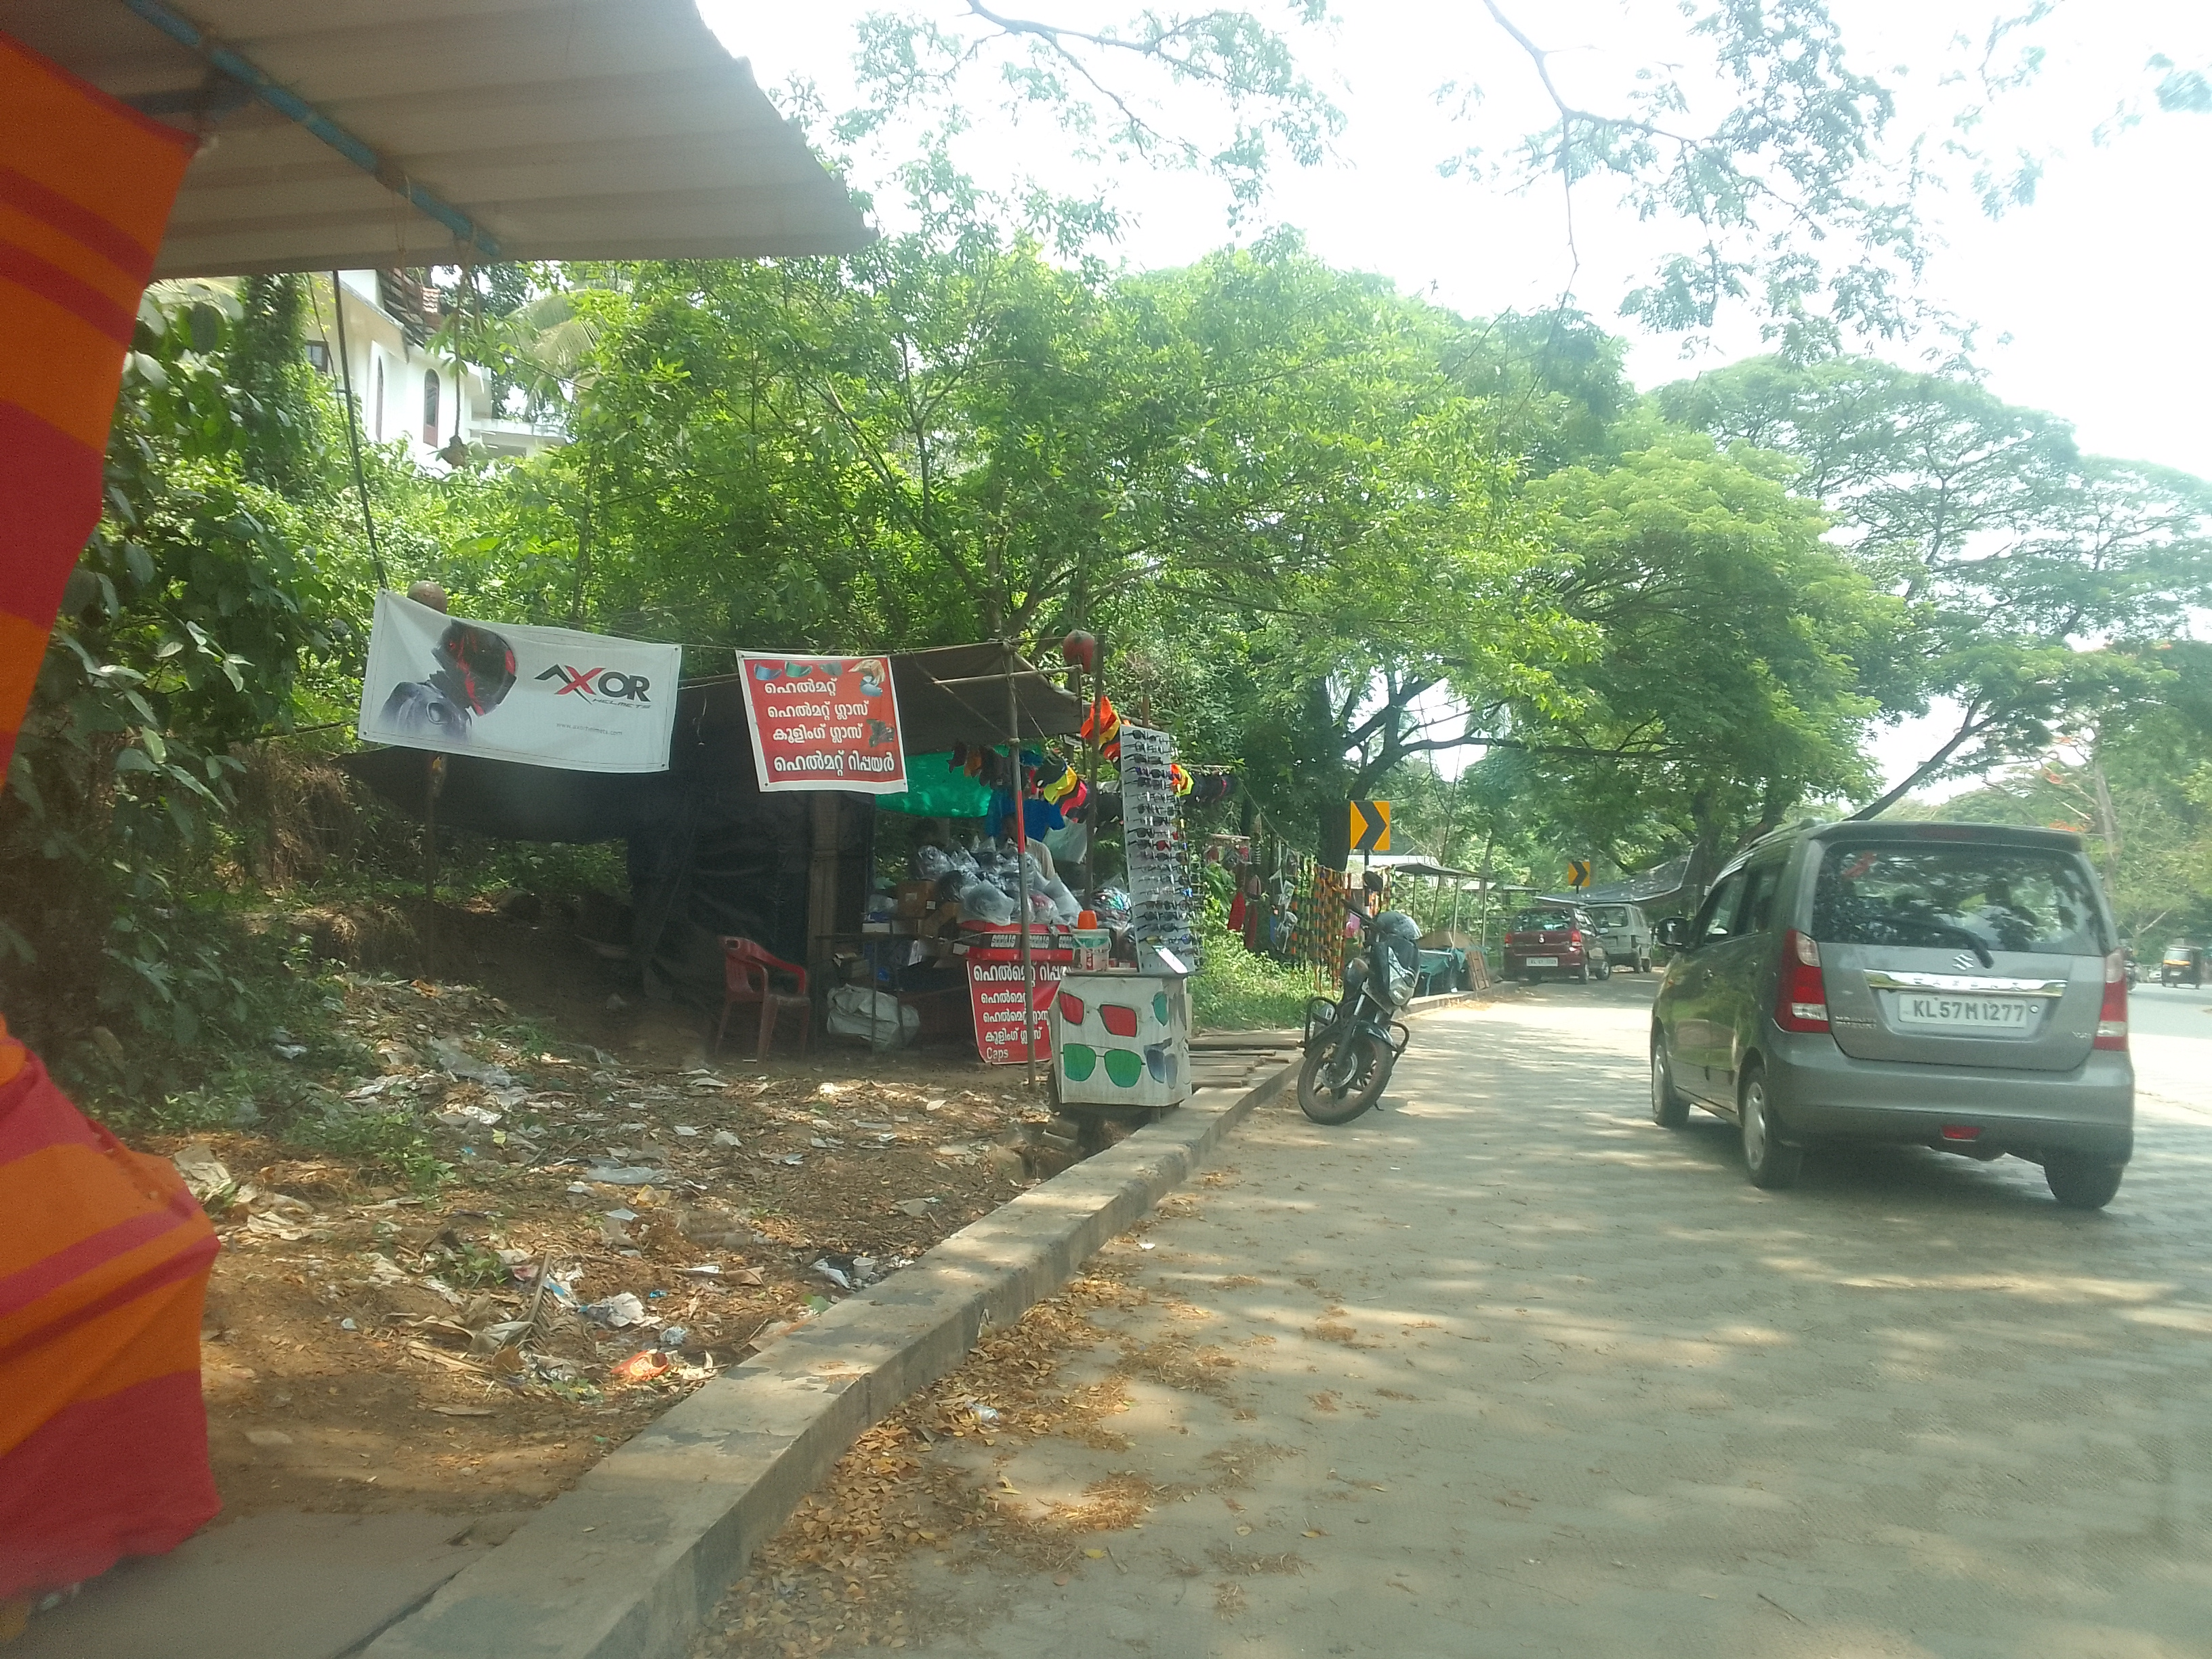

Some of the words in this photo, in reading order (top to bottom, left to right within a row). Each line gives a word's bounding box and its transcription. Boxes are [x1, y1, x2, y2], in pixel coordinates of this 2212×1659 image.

[529, 659, 655, 706] AXOR
[761, 673, 840, 700] ഹെൽമറ്റ്
[764, 699, 833, 723] ഹെൽമറ്റ്
[832, 696, 872, 723] ഗ്ലാസ്
[771, 720, 828, 745] കുളിംഗ്
[828, 721, 865, 745] ഗ്ലാസ്
[771, 746, 847, 779] ഹെൽമറ്റ്
[844, 744, 897, 775] റിപ്പയർ
[971, 957, 1039, 989] ഹെൽമറ്റ്
[977, 987, 1032, 1006] ഹെൽമെ
[979, 1004, 1052, 1025] ഹെൽമറ്റ് ഗ്ലാസ്
[1908, 996, 2030, 1025] KL57M1277
[981, 1022, 1020, 1046] കുളിംഗ്
[981, 1041, 1011, 1063] Caps